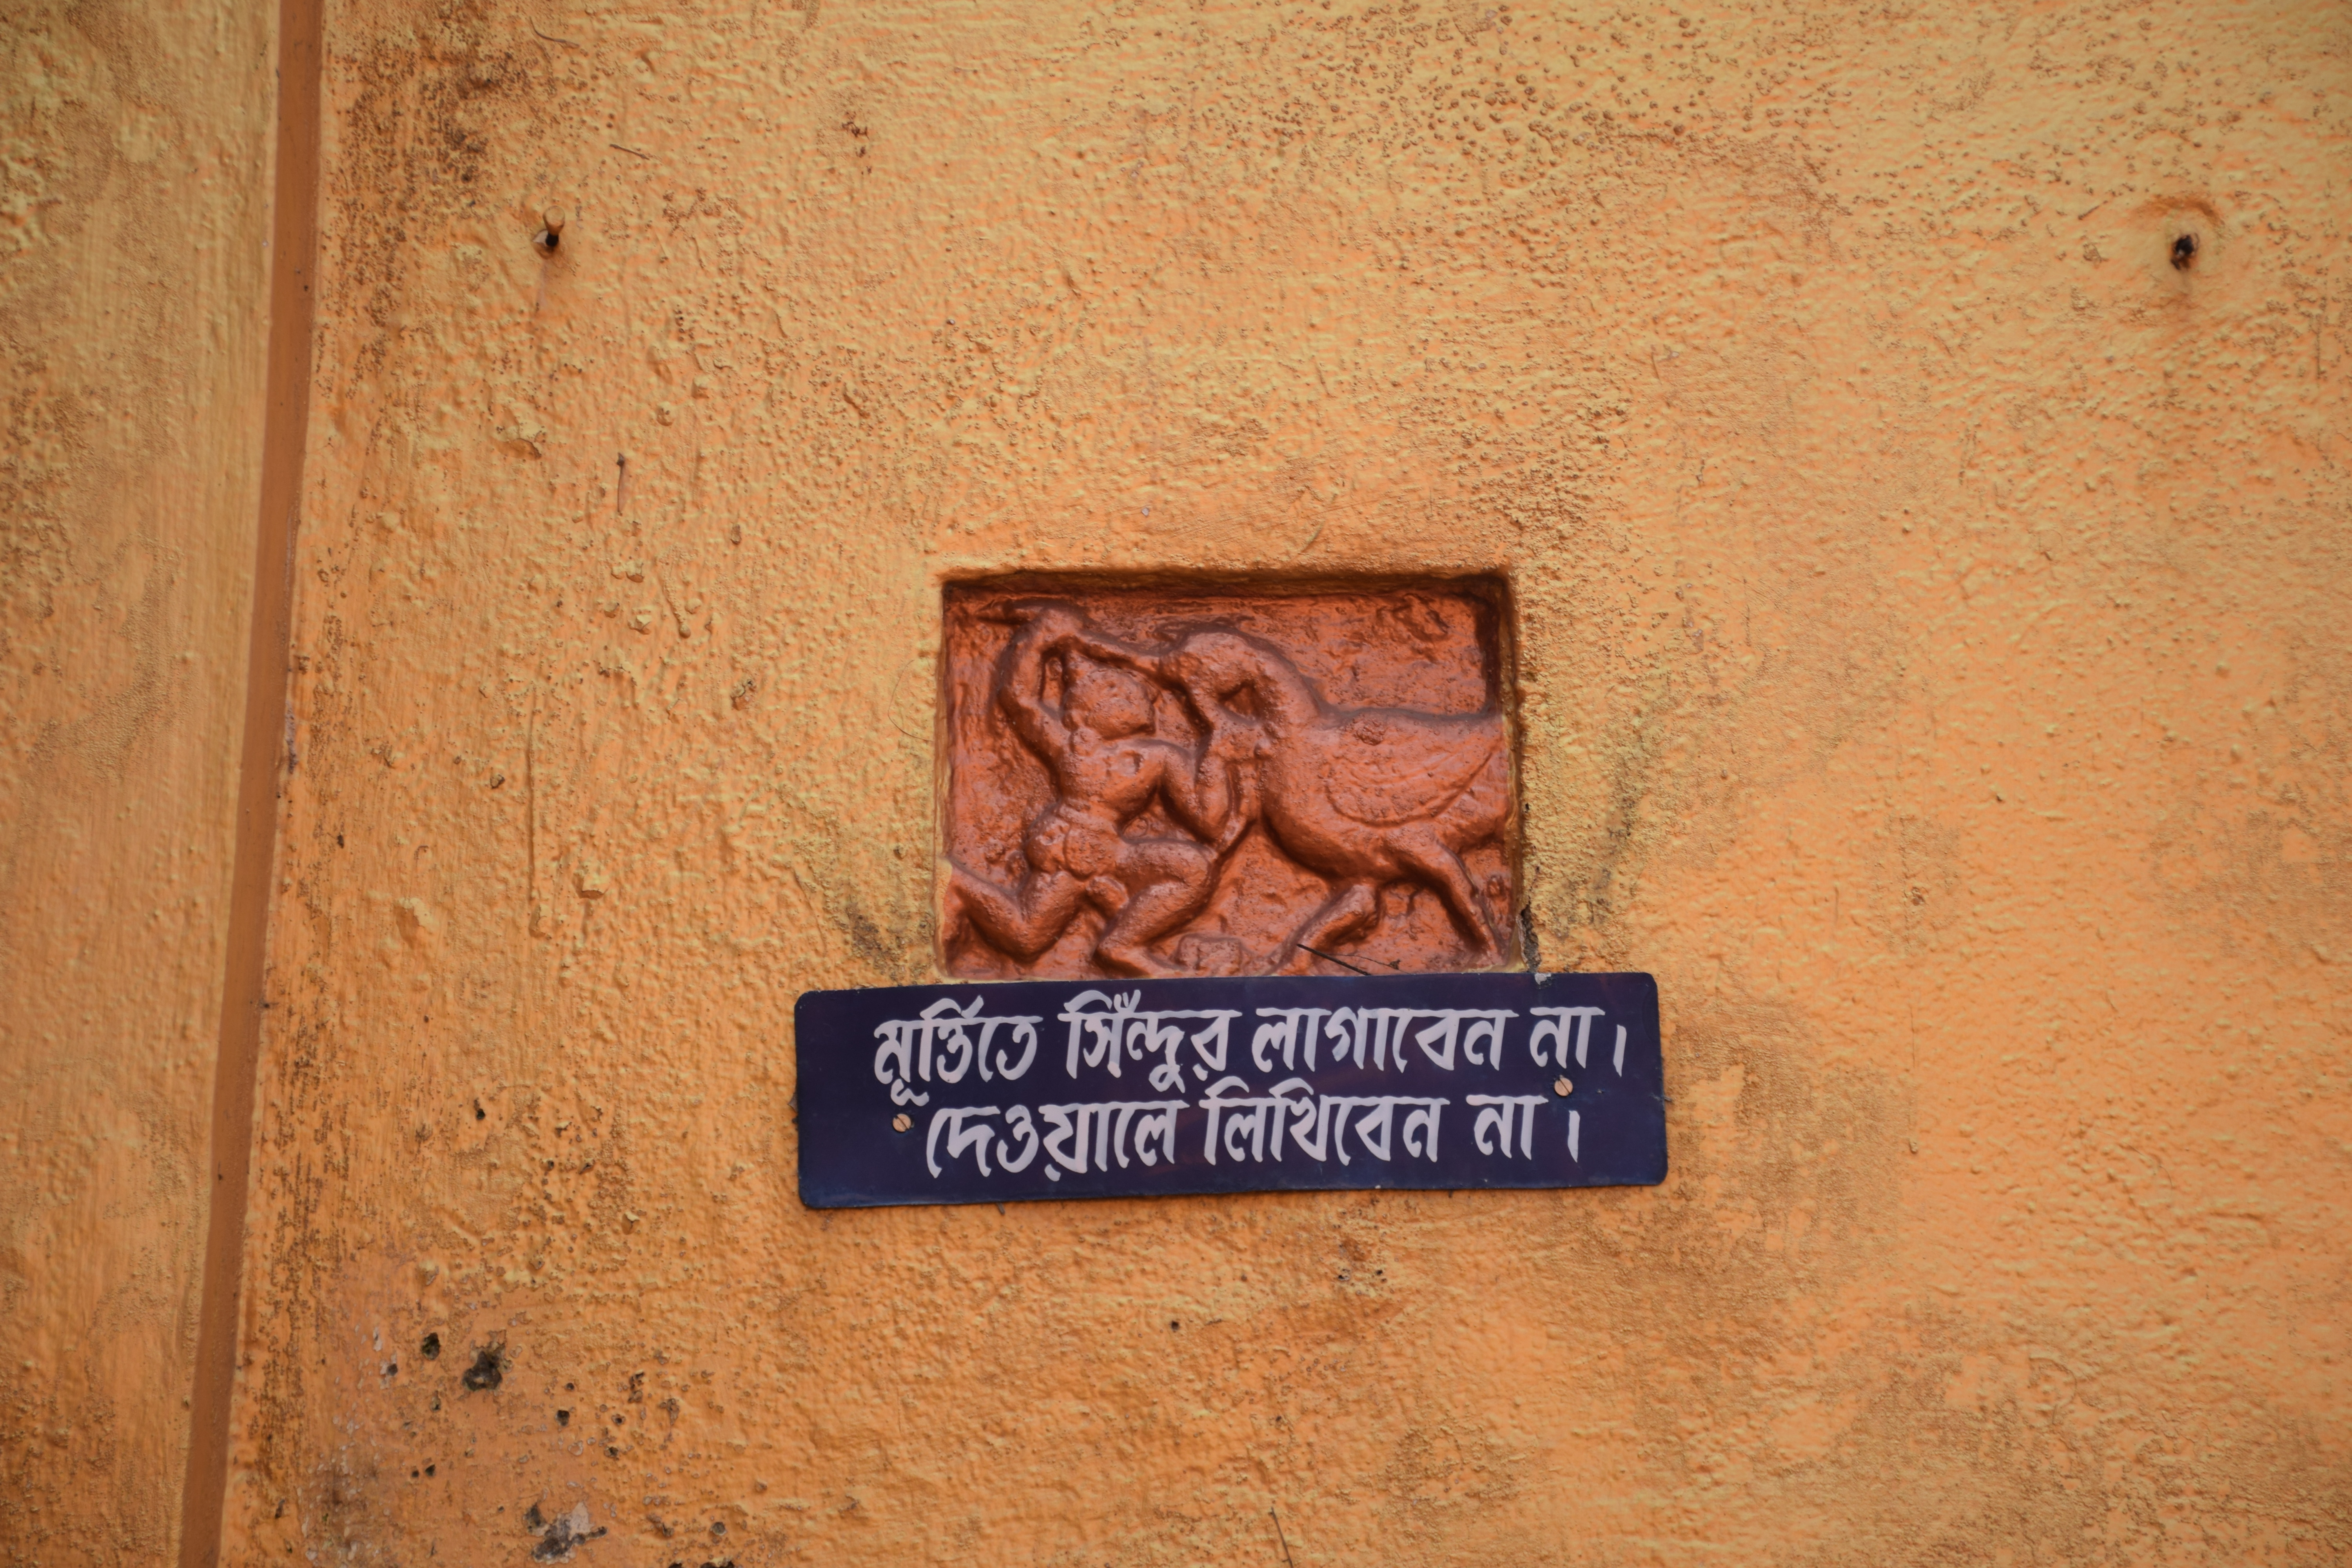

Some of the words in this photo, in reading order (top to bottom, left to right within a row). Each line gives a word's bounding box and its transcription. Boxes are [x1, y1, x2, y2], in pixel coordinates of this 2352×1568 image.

[864, 987, 1048, 1116] মূর্তিতে
[1044, 976, 1246, 1101] সিঁন্দুর
[1245, 1002, 1520, 1080] লাগাবেন
[1518, 997, 1606, 1078] না
[919, 1093, 1199, 1185] দেওয়ালে
[1186, 1060, 1455, 1171] লিখিবেন
[1457, 1084, 1554, 1170] না